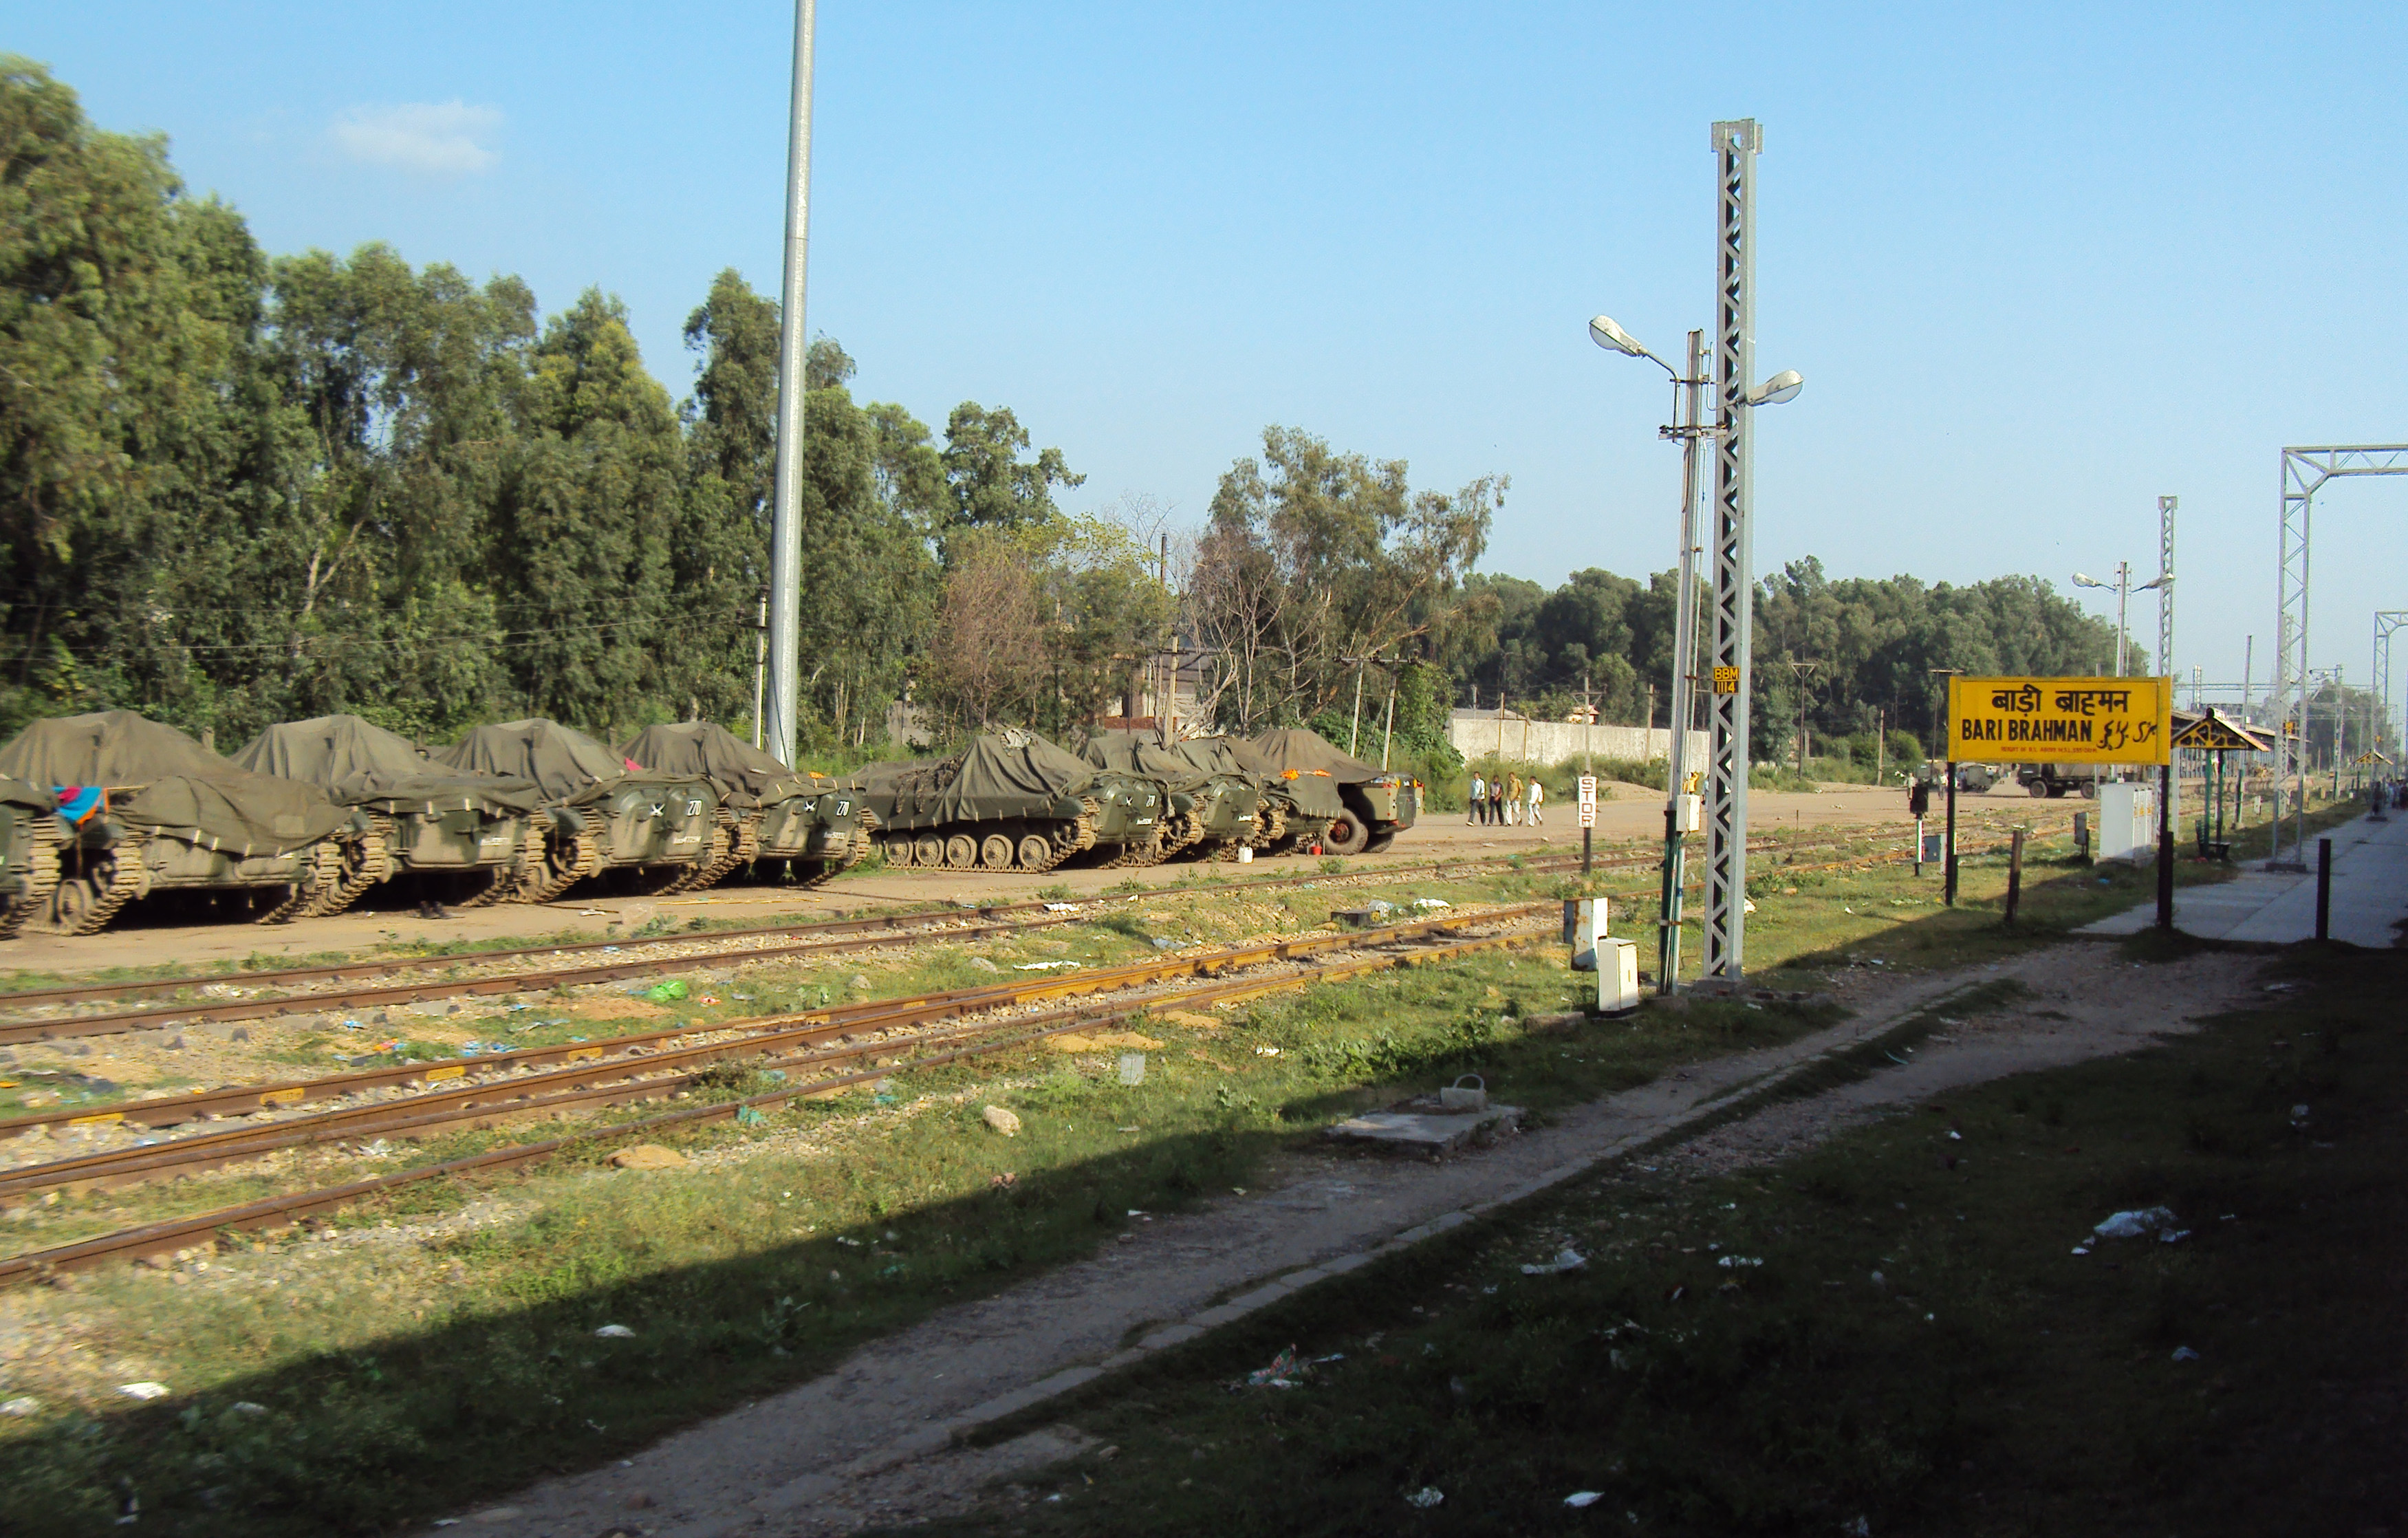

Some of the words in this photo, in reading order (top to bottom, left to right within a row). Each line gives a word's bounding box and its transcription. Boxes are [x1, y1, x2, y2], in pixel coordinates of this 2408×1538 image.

[1991, 680, 2043, 719] बाड़ी
[2052, 689, 2132, 720] ब्राहमन
[1960, 717, 2004, 742] BARI
[2008, 717, 2093, 743] BRAHMAN